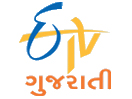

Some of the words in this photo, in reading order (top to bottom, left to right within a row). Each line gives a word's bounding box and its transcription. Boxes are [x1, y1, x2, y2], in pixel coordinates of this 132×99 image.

[18, 0, 110, 73] ETV
[24, 68, 113, 96] ગુજરાતી